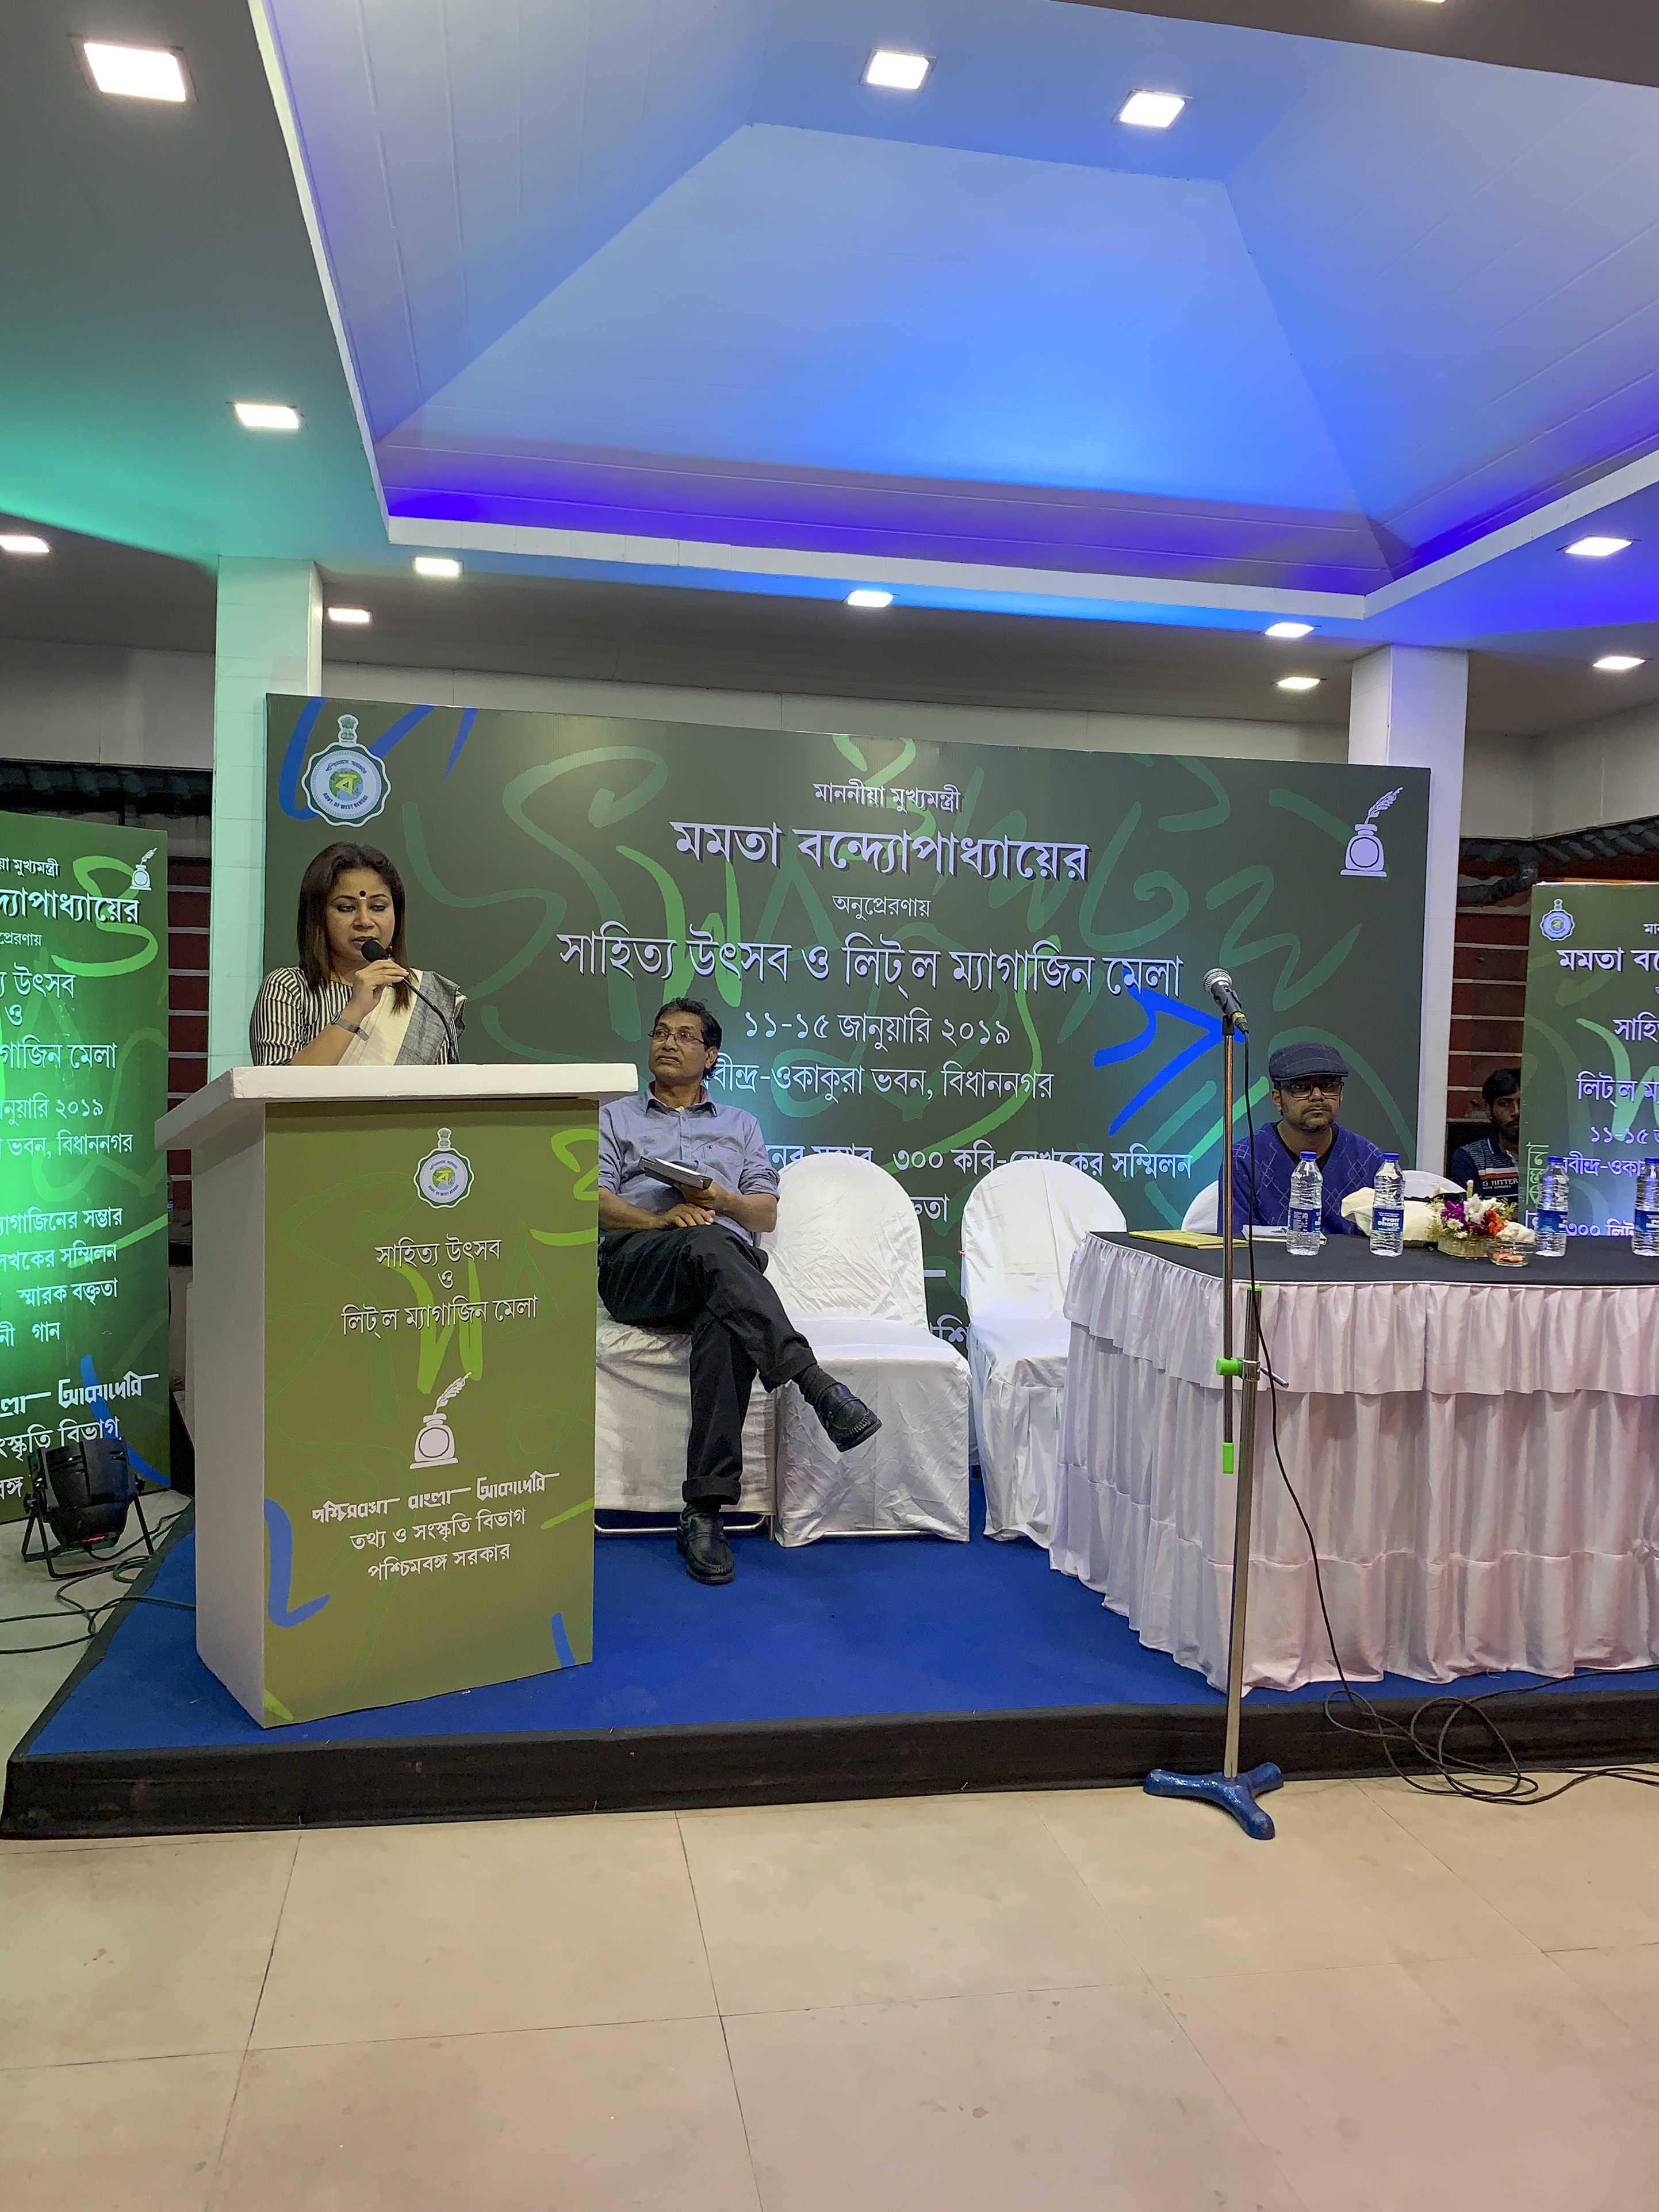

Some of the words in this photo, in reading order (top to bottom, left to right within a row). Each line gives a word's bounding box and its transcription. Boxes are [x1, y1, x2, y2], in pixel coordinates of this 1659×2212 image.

[809, 772, 887, 807] মাননীয়া
[887, 779, 965, 817] মুখ্যমন্ত্রী
[9, 852, 62, 881] মুখ্যমন্ত্রী
[668, 817, 784, 872] মমতা
[795, 824, 1093, 884] বন্দ্যোপাধ্যায়ের
[2, 886, 143, 929] দ্যাপাধ্যায়ে
[829, 888, 932, 925] অনুপ্রেরণায়
[1, 929, 45, 952] প্ররণায়
[7, 953, 80, 1001] উৎসব
[554, 913, 681, 985] সাহিত্য
[679, 912, 798, 988] উৎসব
[788, 935, 836, 984] ও
[833, 918, 945, 1006] লিট্ল
[947, 934, 1095, 999] ম্যাগাজিন
[1098, 953, 1186, 1001] মেলা
[1550, 935, 1629, 975] মমতা
[3, 1000, 28, 1032] ও
[742, 1006, 829, 1041] ১১-১৫
[837, 1001, 937, 1057] জানুয়ারি
[937, 1015, 1014, 1046] ২০১৯
[1, 1032, 64, 1071] গাজিন
[63, 1038, 118, 1073] মেলা
[703, 1047, 767, 1098] বীন্দ্র-
[769, 1061, 865, 1104] ওকাকুরা
[869, 1063, 928, 1099] ভবন
[933, 1051, 1056, 1101] বিধাননগর
[1570, 1057, 1639, 1112] লিট্ল
[2, 1086, 55, 1130] নুয়ারি
[56, 1097, 109, 1123] ২০১৯
[4, 1133, 48, 1163] ভবন
[50, 1125, 137, 1159] বিধাননগর
[888, 1144, 948, 1176] ৩০০
[946, 1130, 1002, 1179] কবি
[1106, 1136, 1196, 1184] সম্মিলন
[1555, 1143, 1603, 1179] রবীন্দ্র
[1602, 1151, 1649, 1179] -ওকা
[0, 1205, 82, 1243] গাজিনের
[81, 1200, 125, 1234] সম্ভার
[1, 1247, 61, 1278] খকের
[55, 1231, 121, 1272] সম্মিলন
[370, 1232, 445, 1272] সাহিত্য
[435, 1229, 507, 1264] উৎসব
[13, 1278, 71, 1313] স্মারক
[24, 1316, 65, 1345] গান
[63, 1273, 122, 1308] বক্তৃত৷
[337, 1287, 404, 1342] লিট্ল
[401, 1290, 491, 1335] ম্যাগাজিন
[435, 1265, 459, 1298] ও
[488, 1290, 538, 1325] মেলা
[52, 1365, 166, 1416] আমাদেরি
[1, 1417, 57, 1466] স্কৃতি
[53, 1413, 125, 1446] বিভাগ
[405, 1483, 472, 1517] বাংলা
[474, 1466, 563, 1503] আকাদেরি
[348, 1526, 387, 1555] তথ্য
[390, 1523, 412, 1552] ও
[355, 1549, 451, 1587] পশ্চিমবঙ্গ
[409, 1510, 479, 1546] সংস্কৃতি
[450, 1542, 516, 1570] সরকার
[470, 1502, 530, 1536] বিভাগ